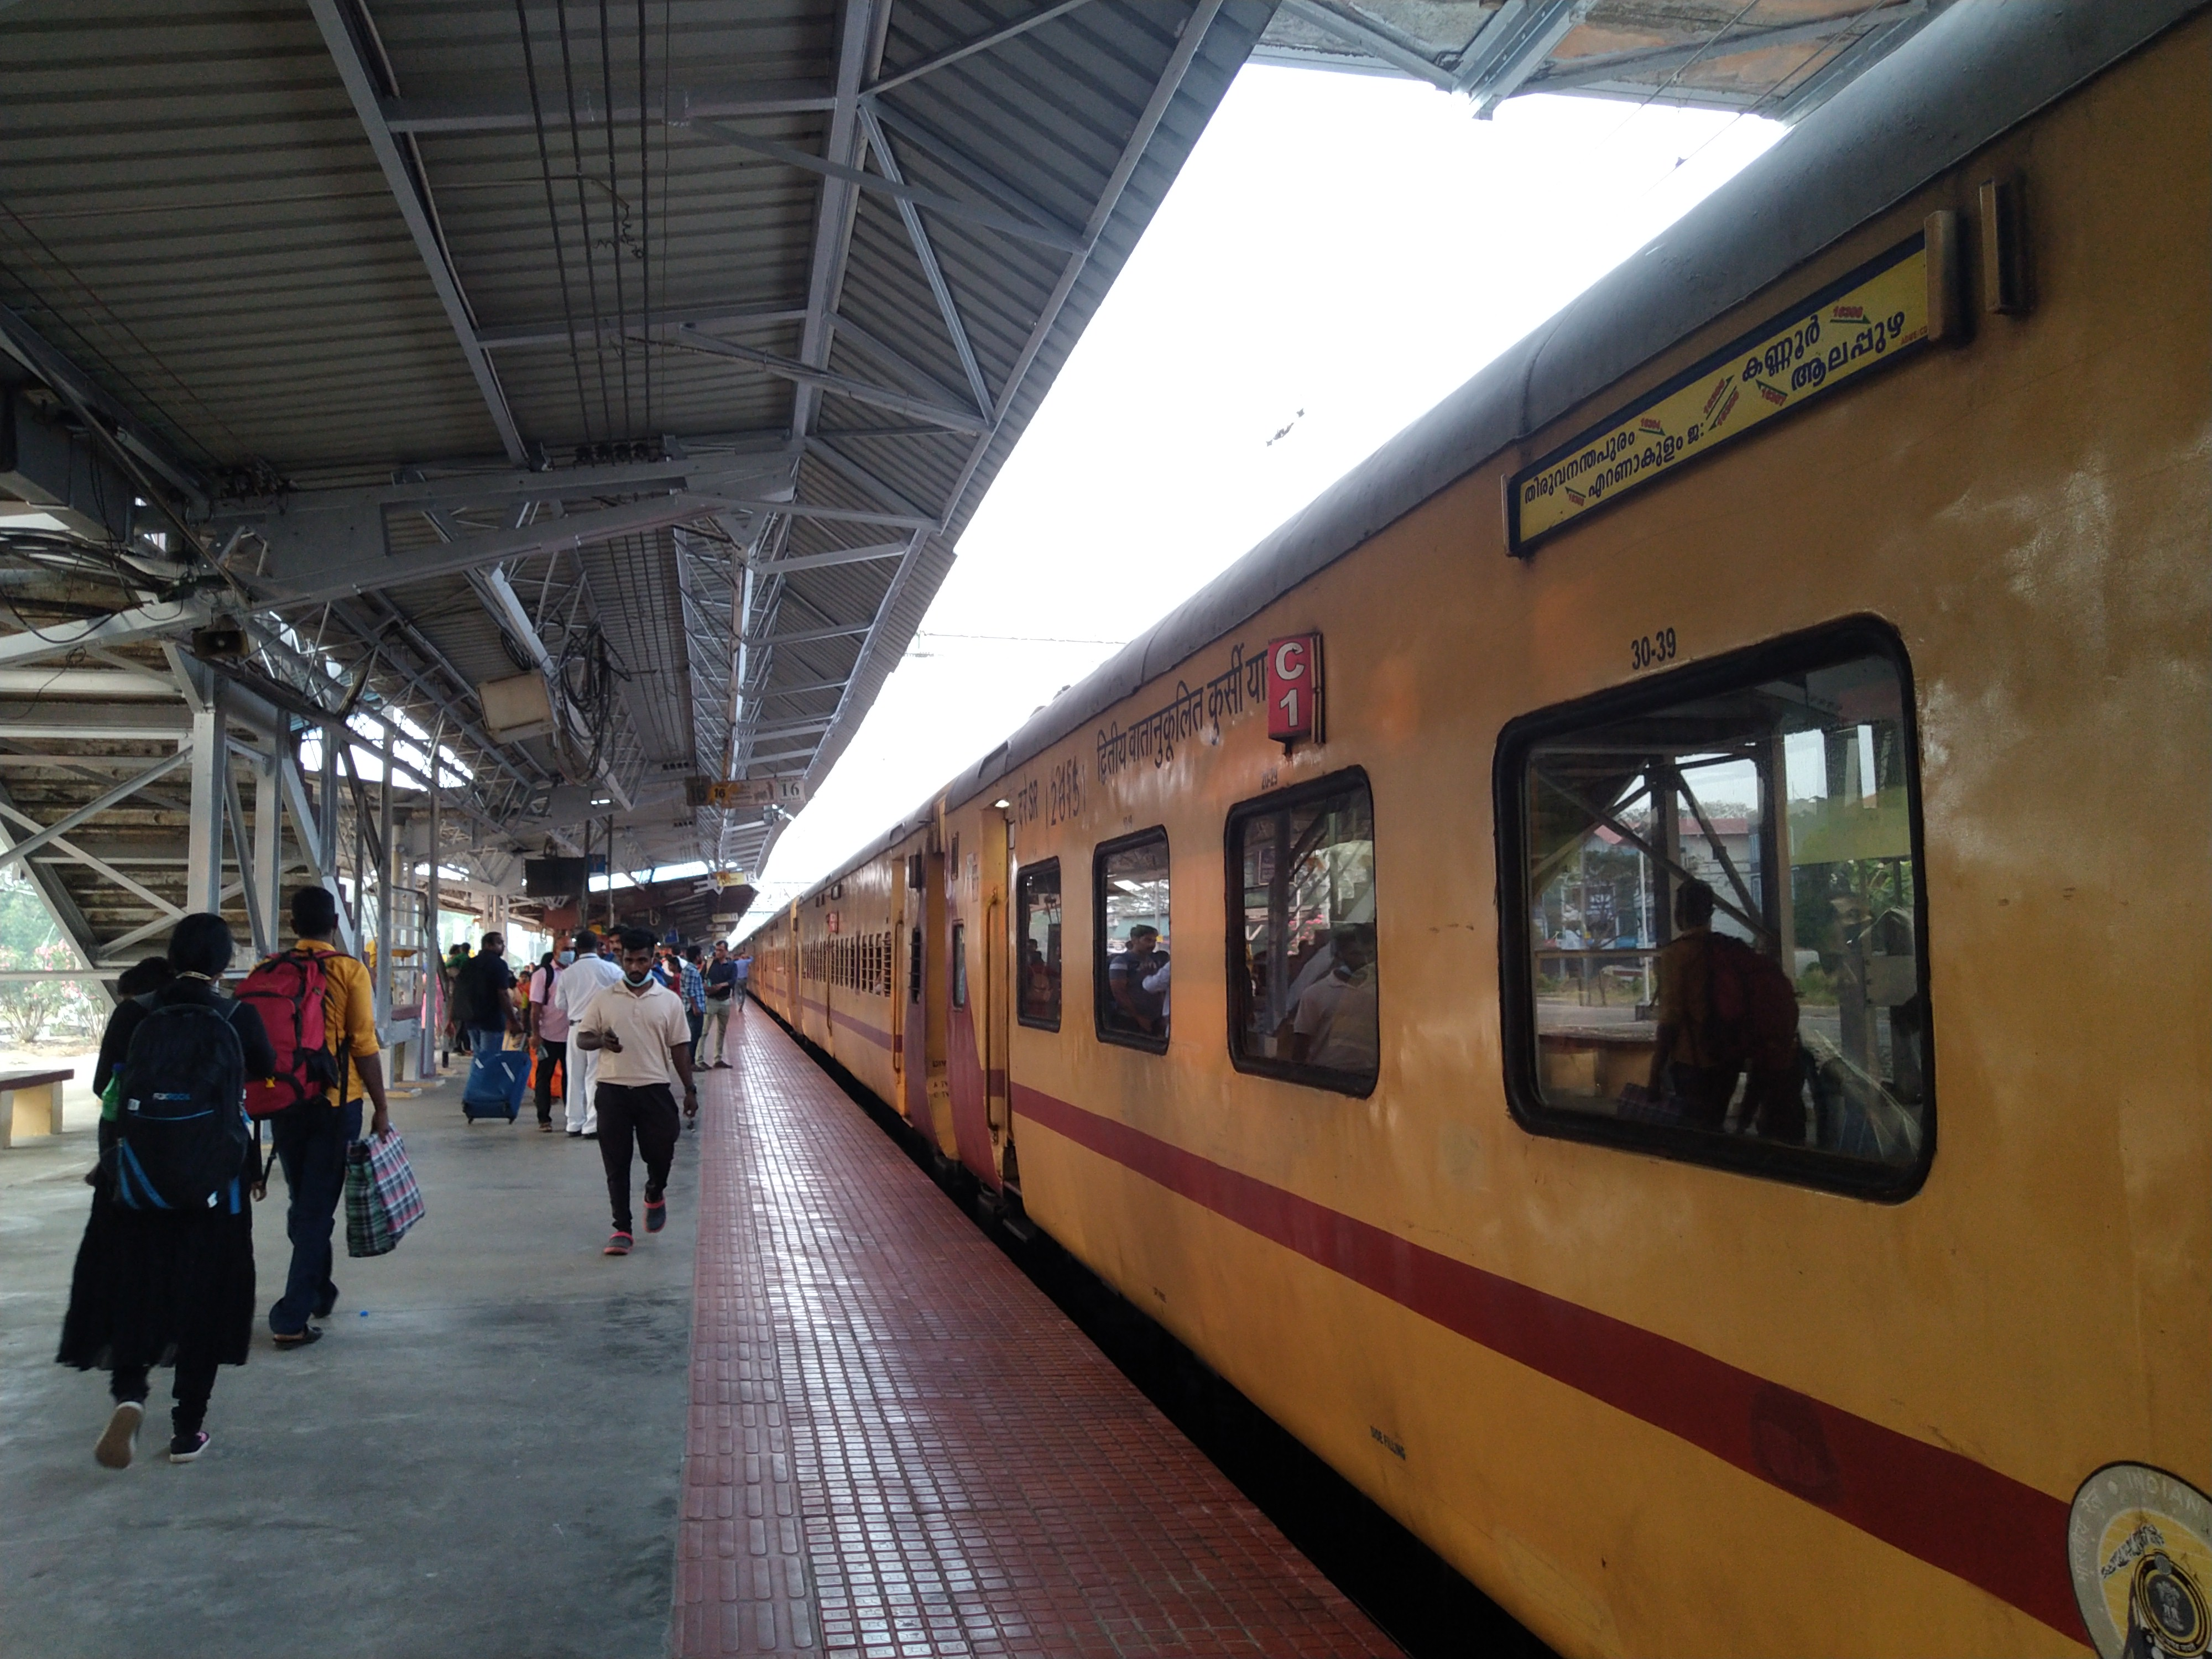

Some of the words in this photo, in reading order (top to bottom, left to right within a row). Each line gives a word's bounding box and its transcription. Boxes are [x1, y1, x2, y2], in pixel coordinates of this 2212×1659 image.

[1736, 306, 1827, 385] കണ്ണൂർ
[1785, 307, 1911, 397] ആലപ്പുഴ
[1519, 422, 1640, 508] തിരുവനന്തപുരം
[1582, 416, 1706, 504] എറണാകുളംജ:
[1089, 716, 1132, 787] द्वितीय
[1124, 677, 1209, 770] वातानुकूलित
[1198, 638, 1247, 748] कुर्सी